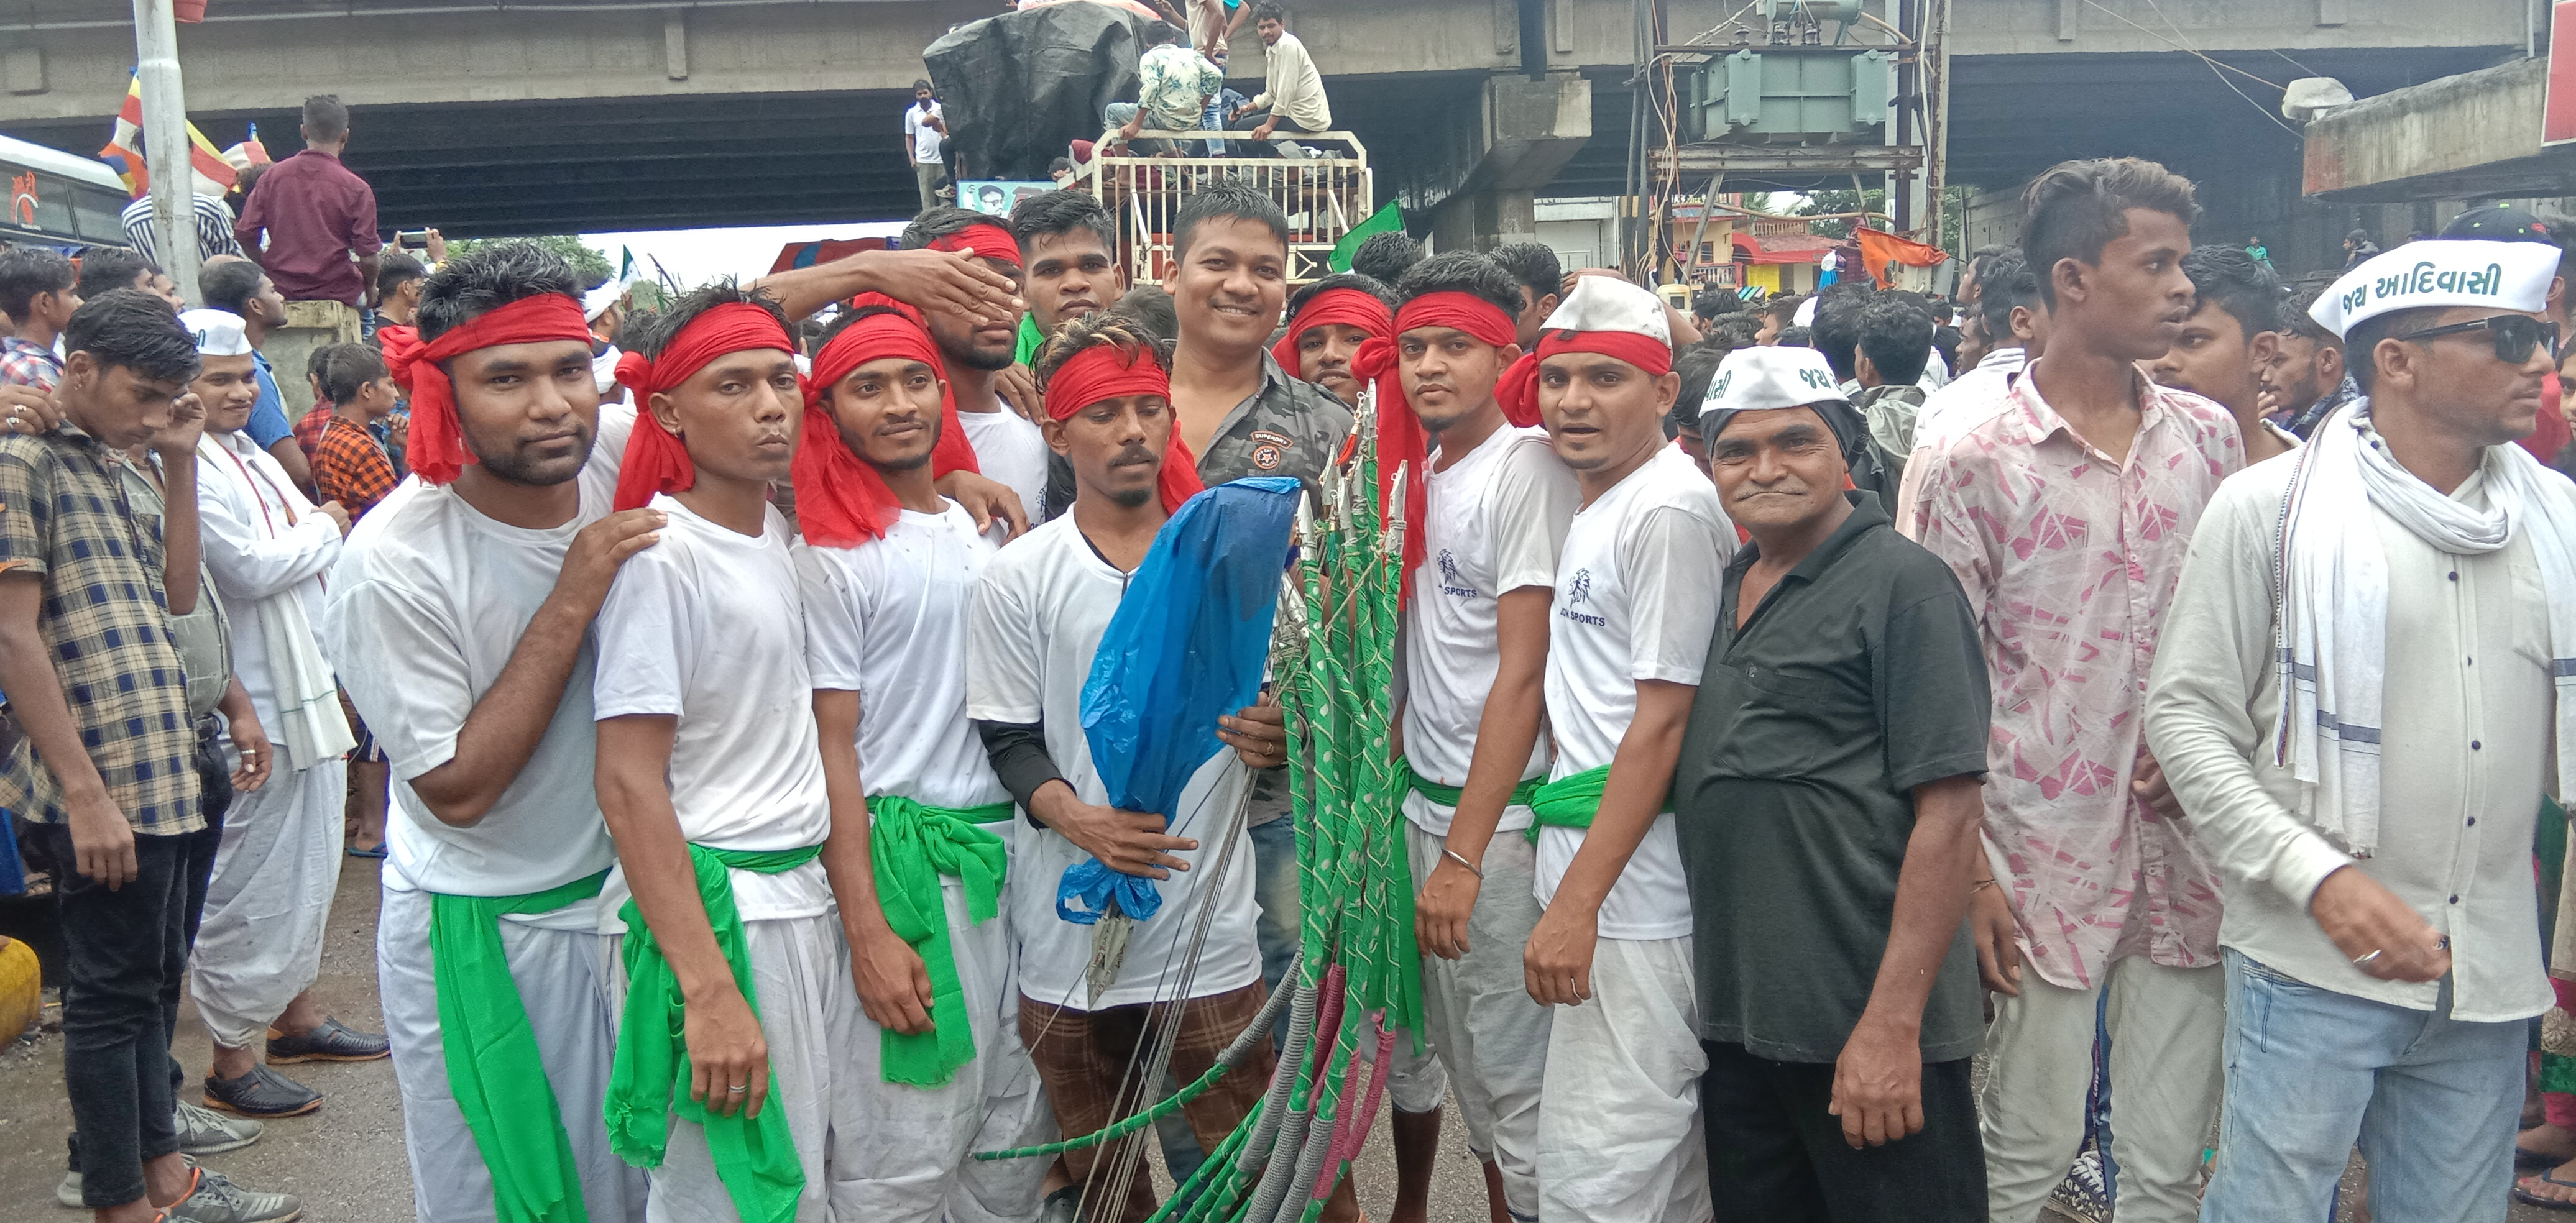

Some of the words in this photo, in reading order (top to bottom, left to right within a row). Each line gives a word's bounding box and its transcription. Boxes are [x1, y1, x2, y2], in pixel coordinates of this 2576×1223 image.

[2370, 257, 2509, 303] આદિવાસી
[2337, 280, 2373, 321] જય
[1709, 367, 1736, 403] સી
[1793, 363, 1833, 395] જય
[1440, 584, 1479, 597] SPORTS
[1568, 608, 1606, 629] SPORTS